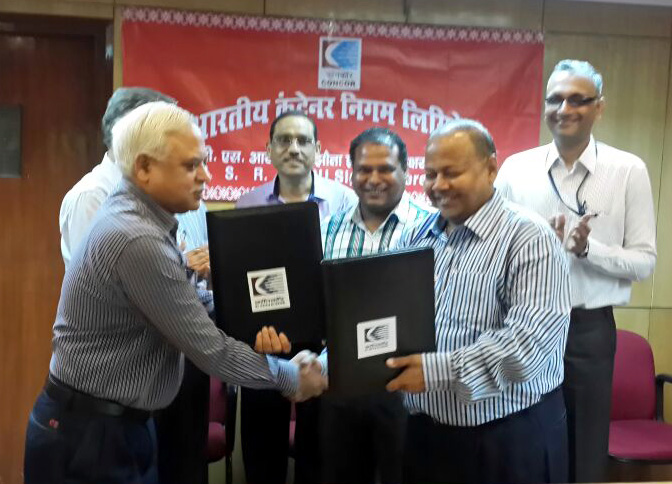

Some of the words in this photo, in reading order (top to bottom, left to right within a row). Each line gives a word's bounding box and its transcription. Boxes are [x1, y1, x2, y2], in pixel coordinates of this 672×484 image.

[193, 93, 270, 141] भारतीय
[271, 85, 337, 127] टेनर
[336, 86, 399, 127] निगम
[398, 96, 453, 141] लिमि
[217, 145, 249, 169] एस.
[307, 143, 347, 170] झीला